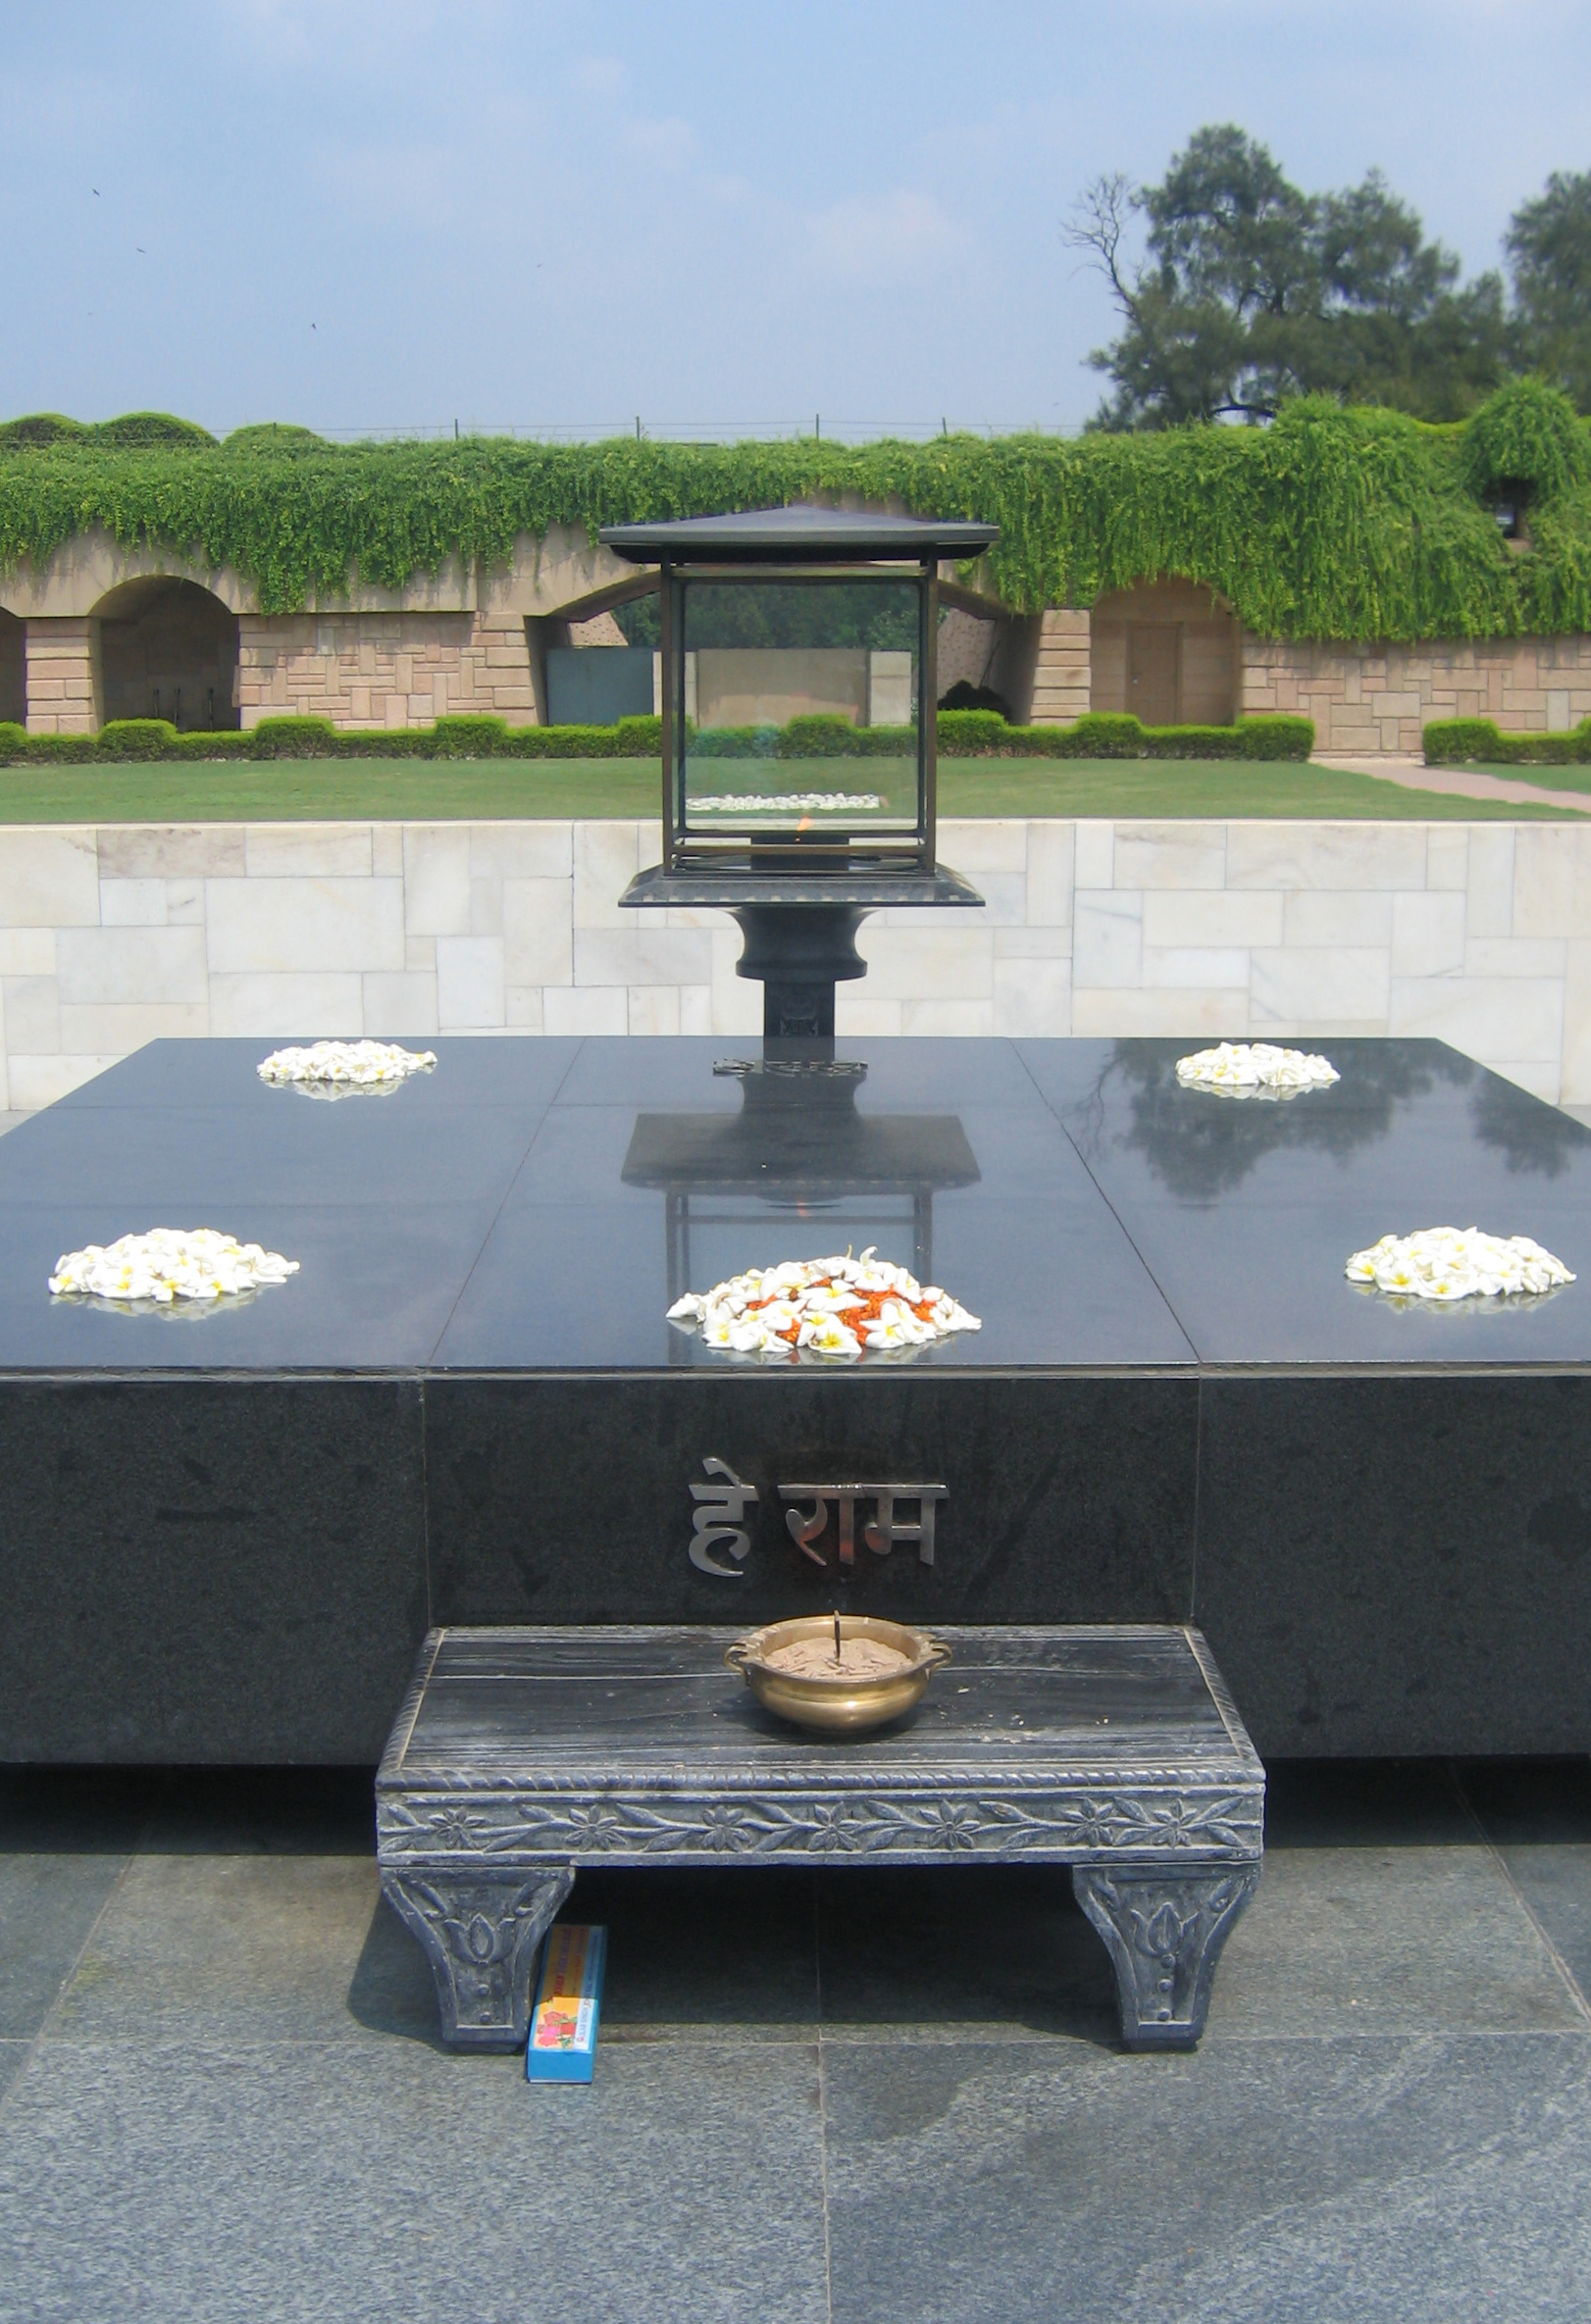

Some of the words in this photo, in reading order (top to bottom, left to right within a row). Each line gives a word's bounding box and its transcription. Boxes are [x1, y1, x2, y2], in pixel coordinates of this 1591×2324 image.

[678, 1452, 757, 1578] हे
[776, 1480, 947, 1572] राम